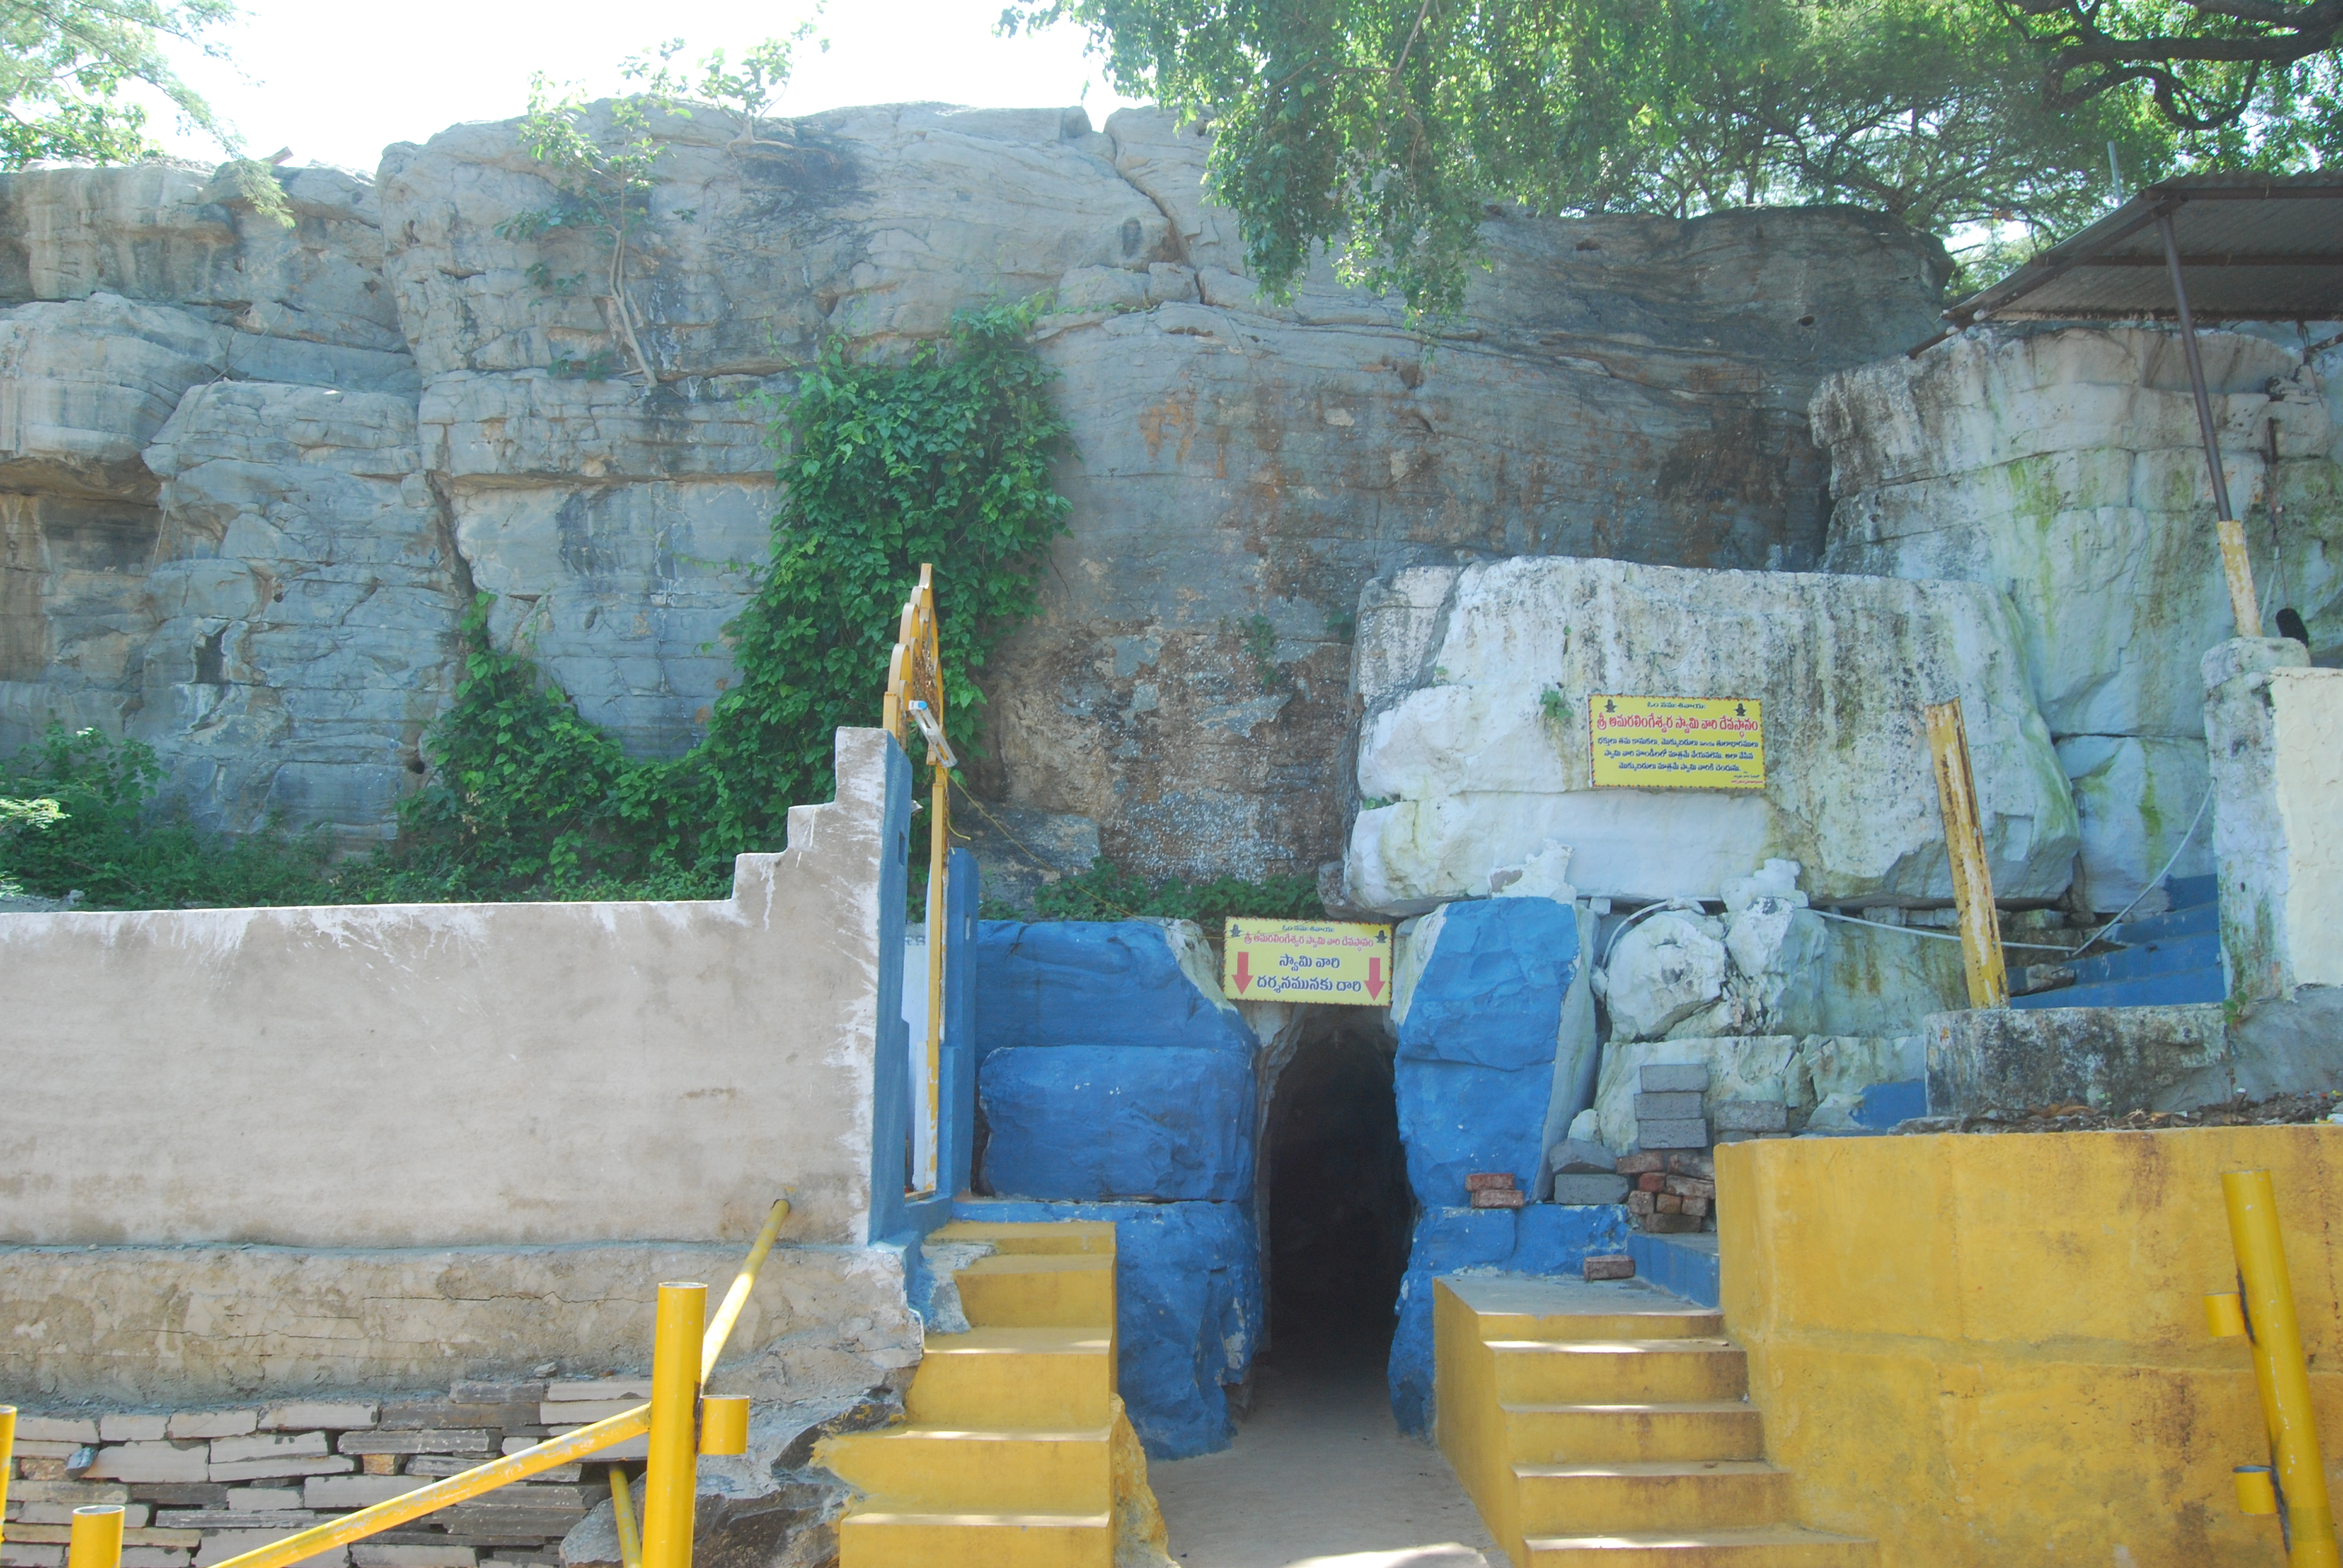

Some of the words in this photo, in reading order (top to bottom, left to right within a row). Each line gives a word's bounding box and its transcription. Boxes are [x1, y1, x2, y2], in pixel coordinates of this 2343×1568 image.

[1643, 697, 1709, 712] ఓం నమః శివాయ:
[1593, 710, 1610, 733] శ్రీ
[1607, 710, 1676, 734] అమరలింగేశ్వర
[1671, 712, 1702, 734] స్వామి
[1698, 717, 1719, 731] వారి
[1715, 712, 1761, 734] దేవసానం
[1595, 734, 1620, 748] భక్తులు
[1631, 734, 1662, 748] కానుకలు
[1657, 734, 1700, 748] మొక్కుబడులు
[1714, 737, 1761, 751] తులాభారములు
[1599, 746, 1624, 763] స్వామి
[1619, 746, 1637, 760] వారి
[1667, 747, 1694, 762] మాత్రమే
[1655, 760, 1681, 774] మాత్రమే
[1678, 760, 1700, 774] స్వామి
[1694, 762, 1716, 774] వారికి
[1712, 761, 1742, 774] చెందును
[1239, 930, 1257, 948] శ్ర
[1252, 927, 1306, 950] అమరలింగేశ్వర
[1303, 933, 1328, 952] స్వామి
[1323, 936, 1342, 950] వారి
[1339, 932, 1378, 955] దేవస్థానం
[1277, 949, 1316, 975] స్వామి
[1312, 955, 1342, 972] వారి
[1254, 972, 1335, 996] దర్శనమునకు
[1334, 978, 1363, 995] దారి